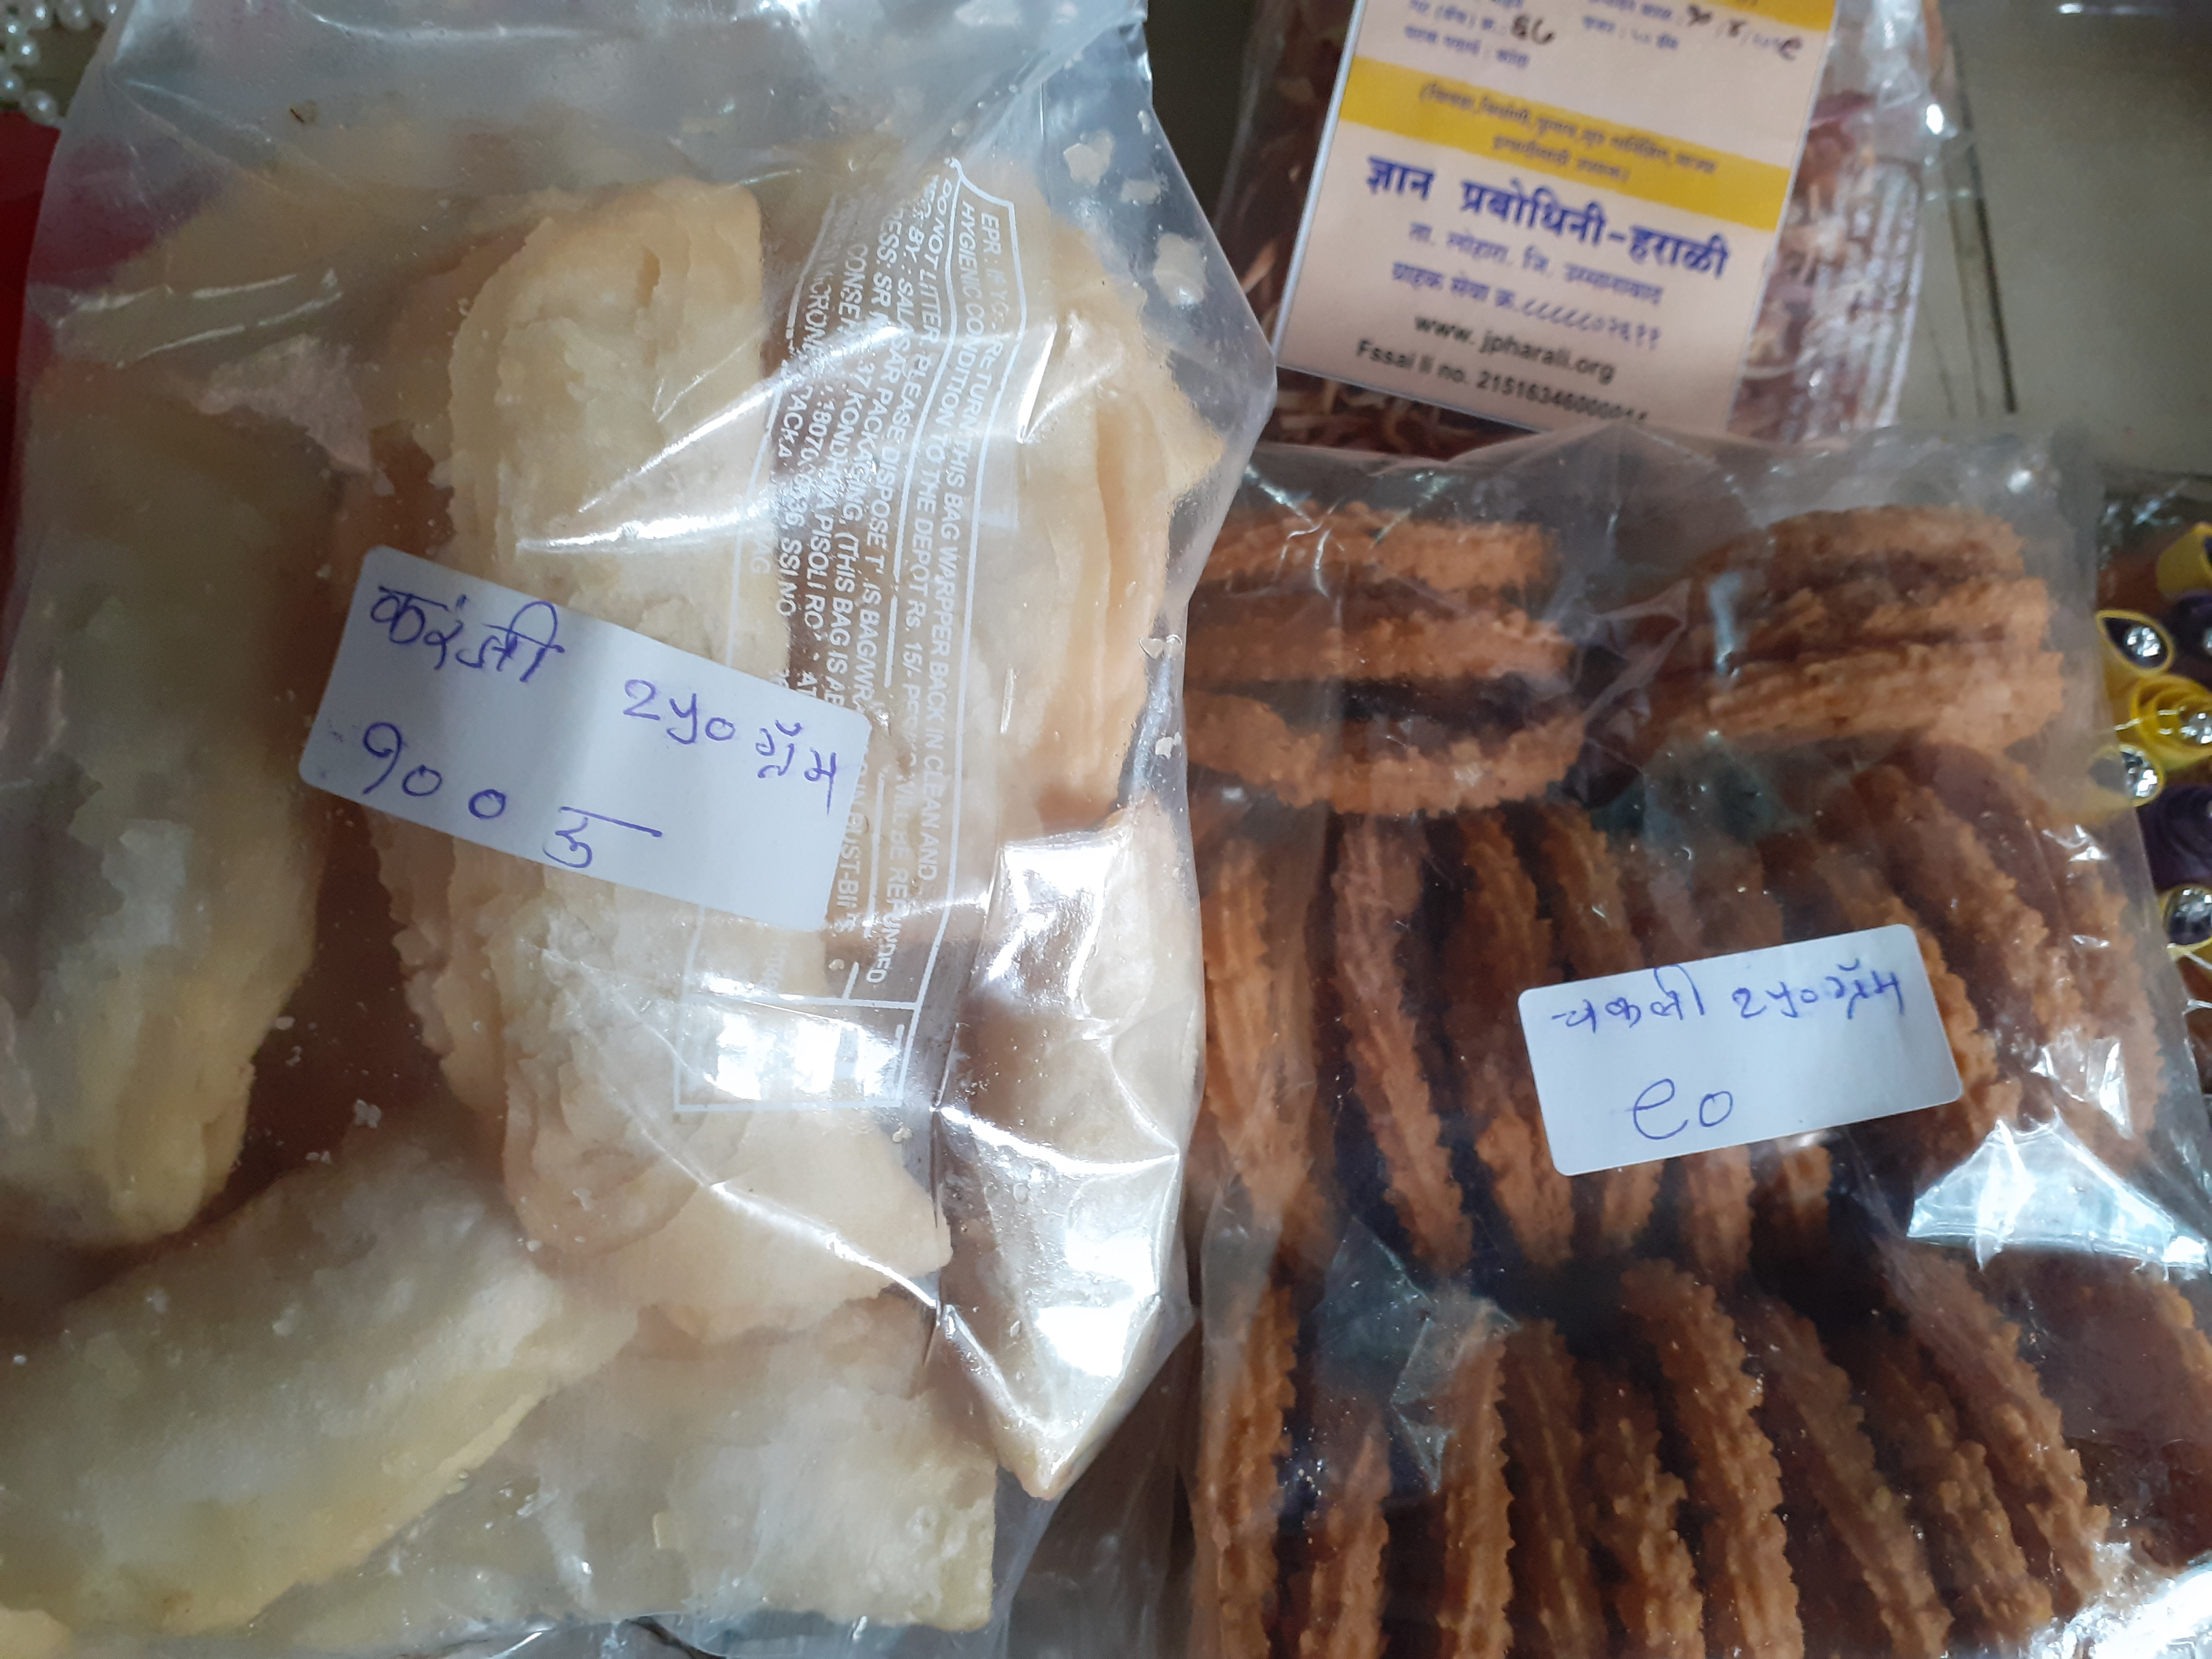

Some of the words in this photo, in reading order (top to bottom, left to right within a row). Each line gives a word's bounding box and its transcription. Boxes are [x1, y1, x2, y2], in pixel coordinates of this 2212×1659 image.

[1354, 148, 1446, 206] ज्ञान
[1451, 154, 1742, 284] प्रबोधिनी-हराळी
[361, 574, 580, 699] करंजी
[601, 667, 746, 760] २५०
[331, 696, 529, 848] १००
[742, 708, 849, 822] ग्रॅम
[1543, 961, 1720, 1048] चकली
[1720, 968, 1825, 1038] २५०
[1819, 946, 1916, 1025] ग्रॅम
[1606, 1065, 1751, 1156] eo